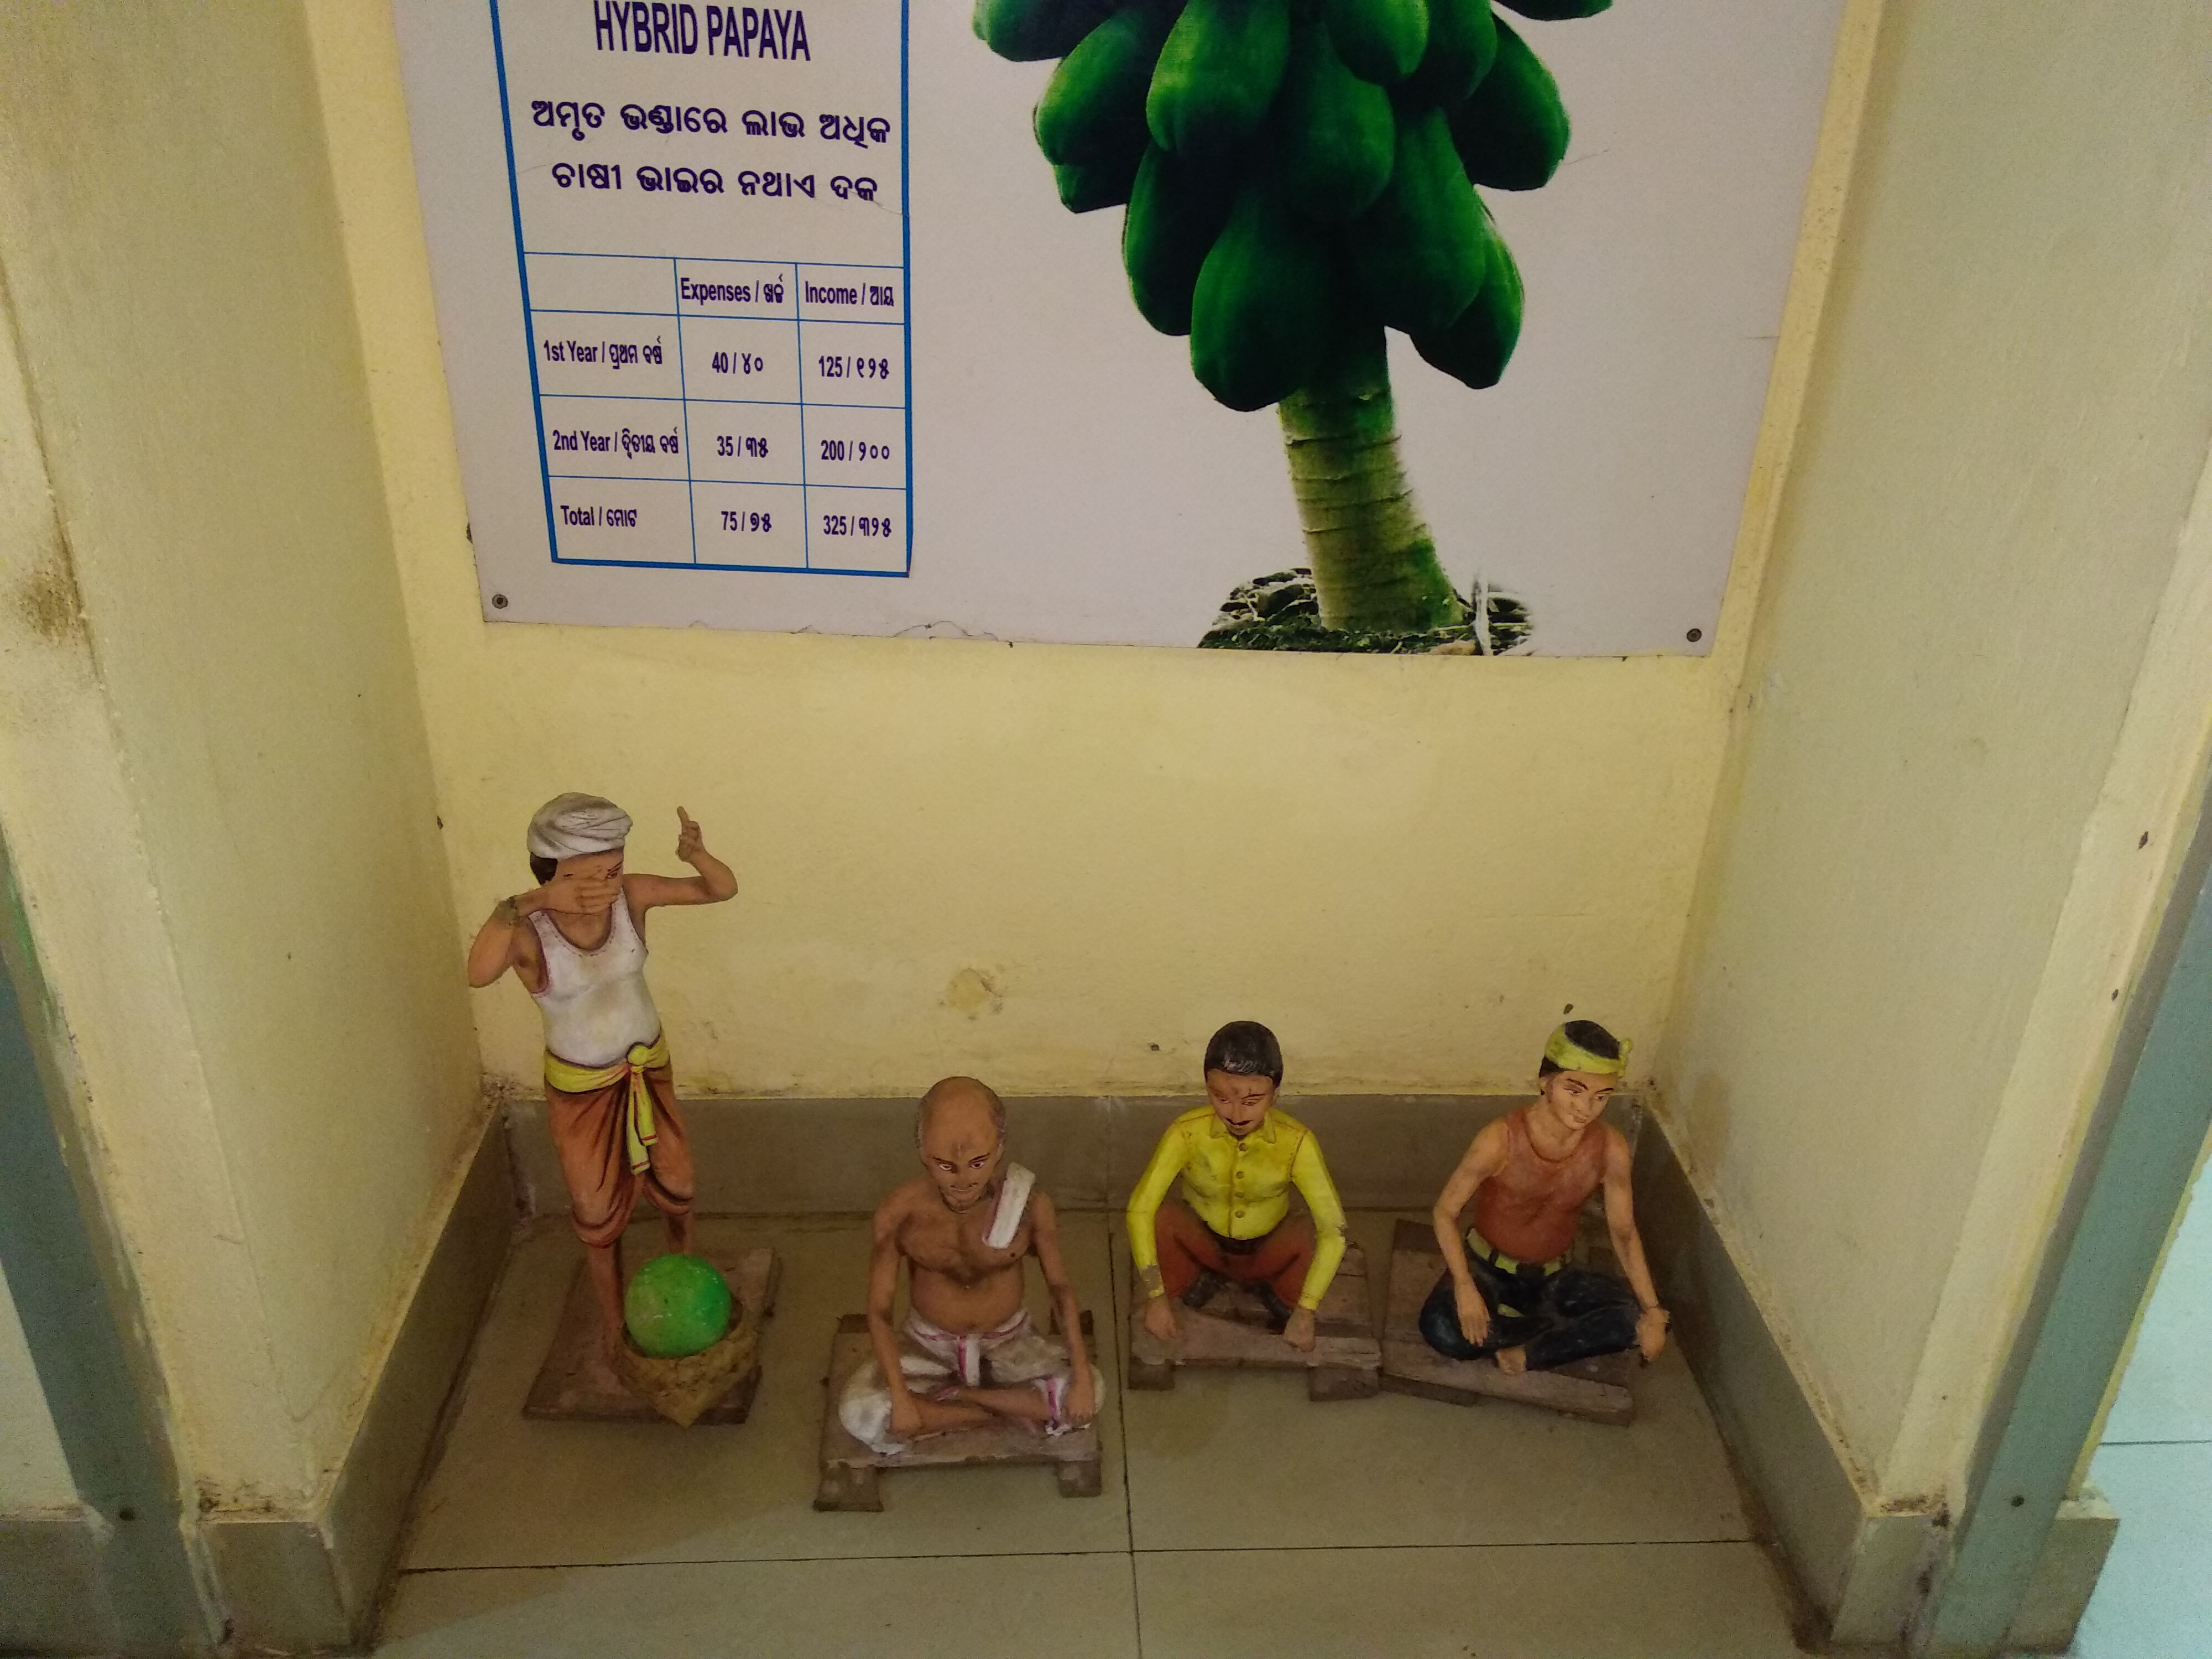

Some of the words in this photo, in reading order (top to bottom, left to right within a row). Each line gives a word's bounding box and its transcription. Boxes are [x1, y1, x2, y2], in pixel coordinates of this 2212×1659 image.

[586, 0, 702, 63] HYBRID
[696, 0, 818, 67] PAPAYA
[529, 95, 610, 145] ଅମୃତ
[618, 98, 729, 140] ଭଣ୍ଡାରେ
[740, 101, 808, 137] ଲାଭ
[815, 109, 893, 153] ଅଧିକ
[549, 160, 623, 194] ଚାଷୀ
[634, 163, 724, 197] ଭାଇର
[734, 162, 818, 205] ନଥାଏ
[830, 165, 881, 210] ଦକ
[677, 272, 754, 309] Expenses
[762, 269, 789, 306] ଖର୍ଚ୍ଚ
[805, 278, 862, 306] Income
[868, 282, 896, 310] ଆୟ
[540, 338, 566, 366] 1st
[564, 338, 598, 366] Year
[605, 338, 639, 375] ପ୍ରଥମ
[638, 331, 665, 368] ବର୍ଷ
[705, 343, 771, 381] 40/४०
[816, 349, 890, 381] 125/୧୨୫
[547, 427, 581, 453] 2nd
[576, 429, 613, 453] Year
[616, 425, 658, 462] ଦ୍ବିତୀୟ
[656, 425, 684, 455] ବର୍ଷ
[713, 428, 769, 460] 35/୩୫
[818, 433, 894, 465] 200/900
[716, 503, 774, 536] 75/୭୫
[818, 507, 860, 539] 325/
[847, 507, 899, 543] ୩୨୫